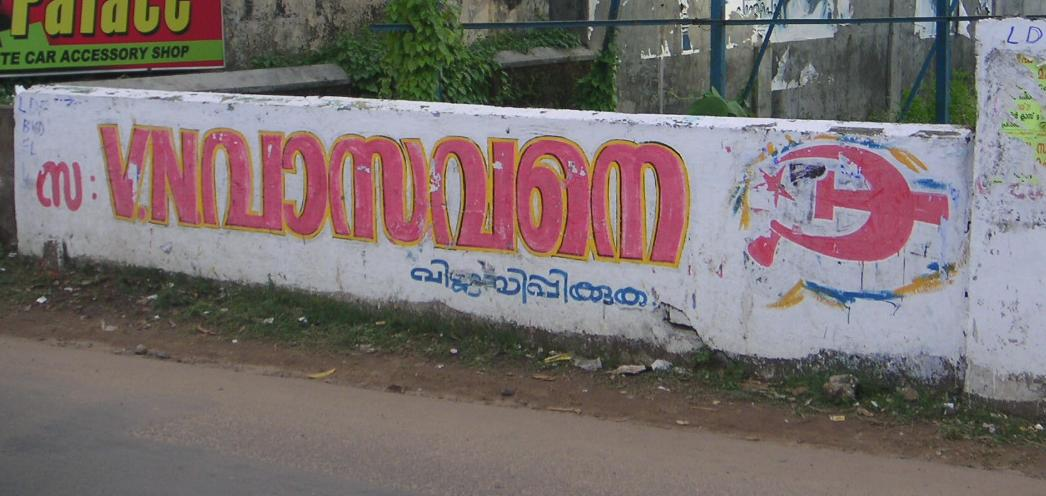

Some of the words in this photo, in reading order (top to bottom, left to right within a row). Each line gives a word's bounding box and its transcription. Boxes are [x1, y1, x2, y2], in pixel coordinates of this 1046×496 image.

[0, 48, 24, 71] TE
[23, 48, 59, 66] CAR
[57, 46, 147, 63] ACCESSORY
[149, 44, 191, 61] SHOP
[27, 153, 89, 216] സ